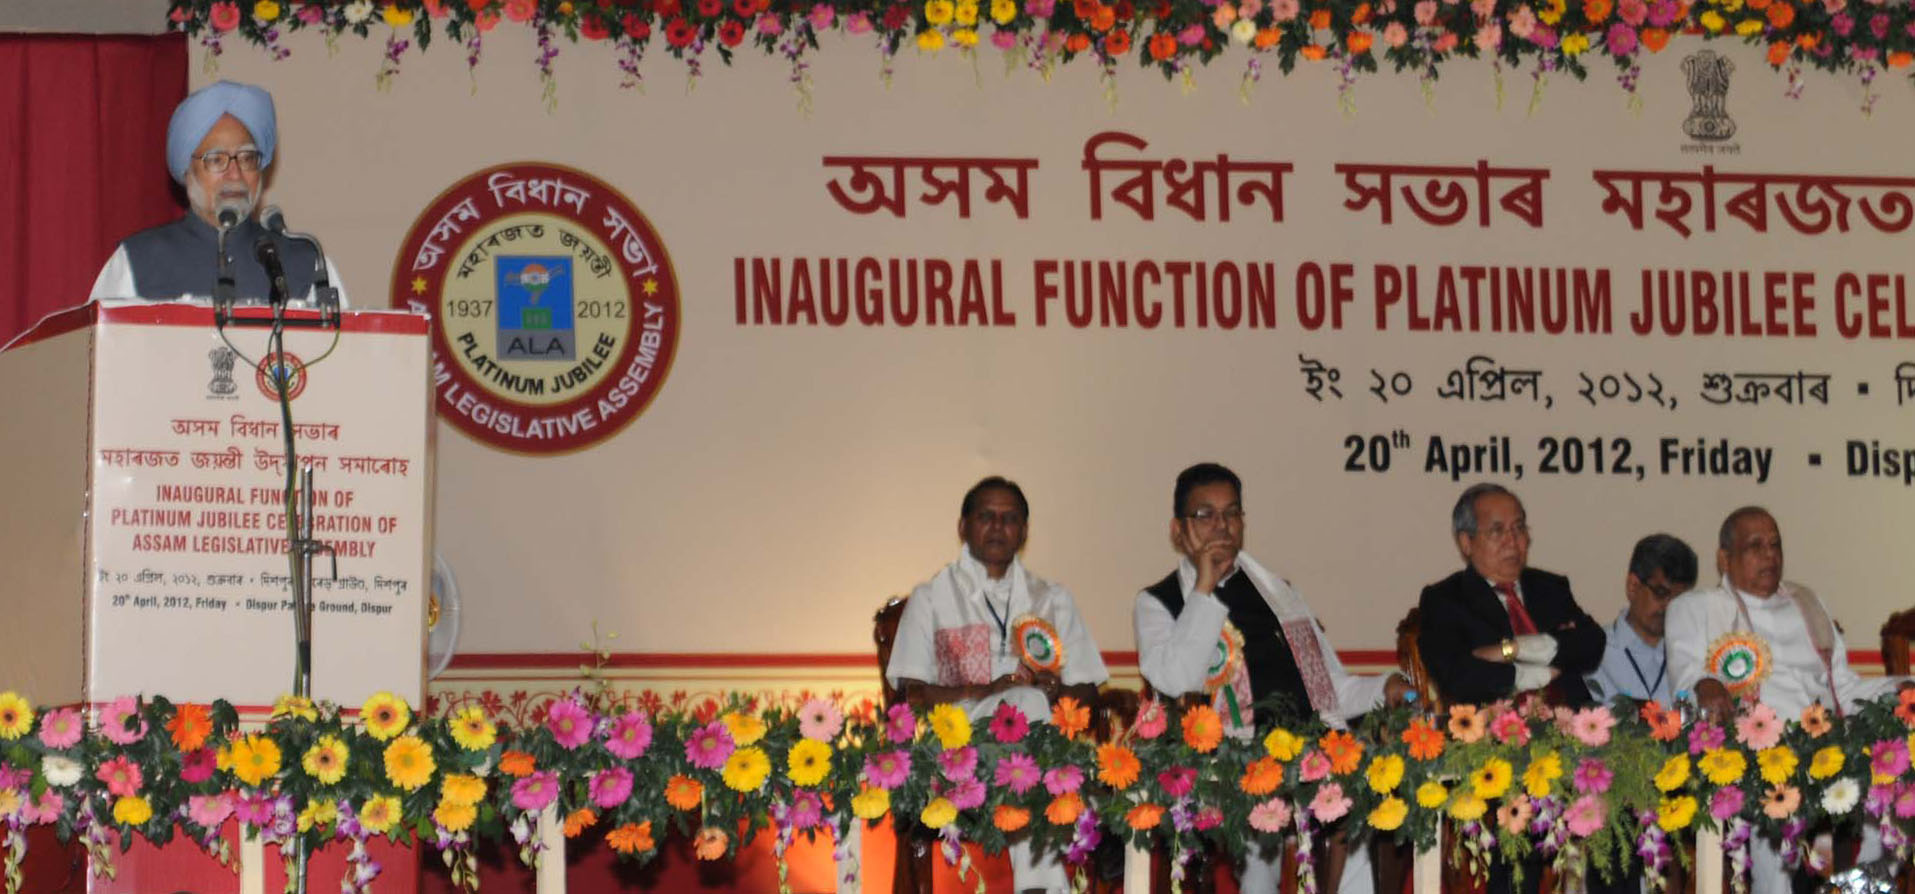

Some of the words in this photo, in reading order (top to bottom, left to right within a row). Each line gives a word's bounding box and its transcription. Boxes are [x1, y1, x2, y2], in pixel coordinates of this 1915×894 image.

[487, 170, 590, 217] বিধান
[820, 152, 1040, 224] অসম
[1080, 125, 1301, 228] বিধান
[1332, 154, 1551, 233] সভাৰ
[409, 196, 481, 275] অসম
[458, 221, 545, 278] হোৰজড
[552, 224, 613, 284] জয়ন্তী
[596, 205, 659, 285] সভা
[442, 293, 496, 322] 1937
[570, 294, 631, 323] 2012
[722, 249, 1021, 335] INAUGURAL
[1026, 255, 1282, 335] FUNCTION
[1288, 249, 1368, 341] OF
[1367, 257, 1619, 341] PLATINUM
[1627, 261, 1825, 344] JUBILEE
[1828, 260, 1915, 349] CEL
[505, 330, 570, 359] ALA
[453, 326, 549, 400] PLATINUM
[544, 329, 621, 399] JUBILEE
[595, 300, 667, 425] ASSEMBLY
[1295, 347, 1353, 408] ইং
[1363, 361, 1416, 407] ২০
[1434, 353, 1546, 407] এপ্রিল
[1575, 366, 1668, 406] ২০১২
[1691, 364, 1839, 415] শুক্ৰবাৰ
[170, 414, 218, 437] অসম
[229, 409, 284, 443] বিধান
[292, 418, 344, 447] সভাব
[433, 379, 603, 444] LEGISLATIVE
[97, 446, 182, 469] মহাৰজত
[186, 441, 244, 476] জয়ন্তী
[250, 447, 286, 476] উদ
[334, 451, 411, 479] সমাৰোহ
[1335, 425, 1410, 481] 20th
[1423, 429, 1519, 485] April.
[1534, 431, 1635, 482] 2012
[1656, 425, 1780, 492] Friday
[1838, 431, 1915, 486] Disp
[153, 480, 248, 508] INAUGURAL
[245, 482, 288, 510] FUN
[332, 487, 353, 508] OF
[108, 505, 195, 532] PLATINUM
[130, 530, 188, 554] ASSAM
[195, 507, 265, 531] JUBILEE
[188, 532, 292, 556] LEGISLATIVE
[313, 505, 379, 539] RATION
[375, 511, 400, 539] OF
[130, 594, 157, 610] April
[129, 561, 167, 591] এপ্ৰিল
[162, 594, 190, 610] 2012
[170, 570, 199, 587] ২০১২
[189, 588, 235, 613] Friday
[206, 570, 244, 587] শুক্ৰবাৰ
[239, 590, 283, 615] Dispur
[317, 591, 361, 617] Ground,
[355, 597, 398, 621] Dispur
[371, 571, 409, 595] দিসপুর